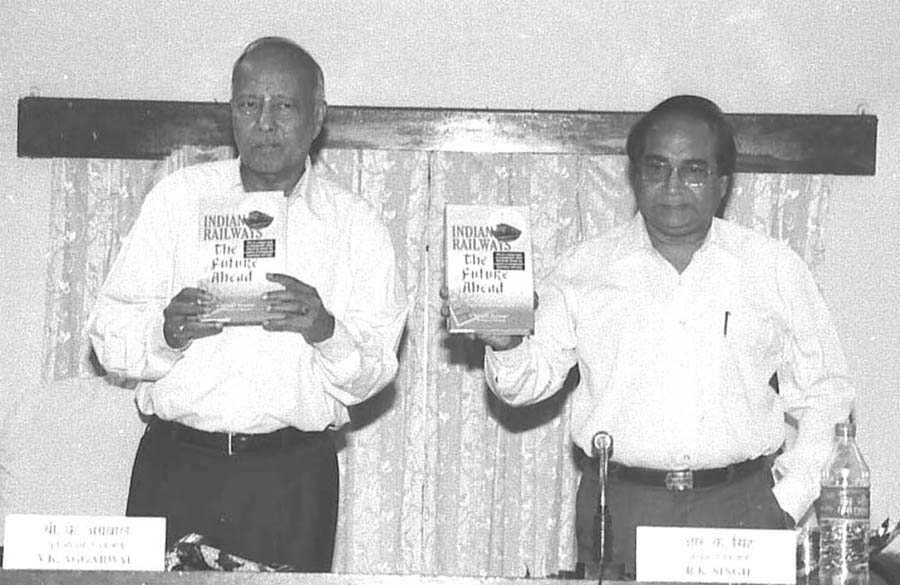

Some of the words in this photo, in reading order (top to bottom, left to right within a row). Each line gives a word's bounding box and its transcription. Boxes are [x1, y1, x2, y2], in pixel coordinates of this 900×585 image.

[200, 212, 247, 229] INDIAN
[199, 224, 266, 241] RAILWAYS
[449, 223, 500, 239] INDIAN
[213, 239, 238, 256] the
[451, 236, 513, 253] RAILWAYS
[207, 255, 258, 271] future
[463, 250, 488, 266] the
[209, 268, 255, 285] Ahead
[459, 265, 511, 282] FutuRe
[459, 279, 507, 294] Ahead
[61, 523, 78, 536] फ
[86, 524, 133, 539] अग्रवाल